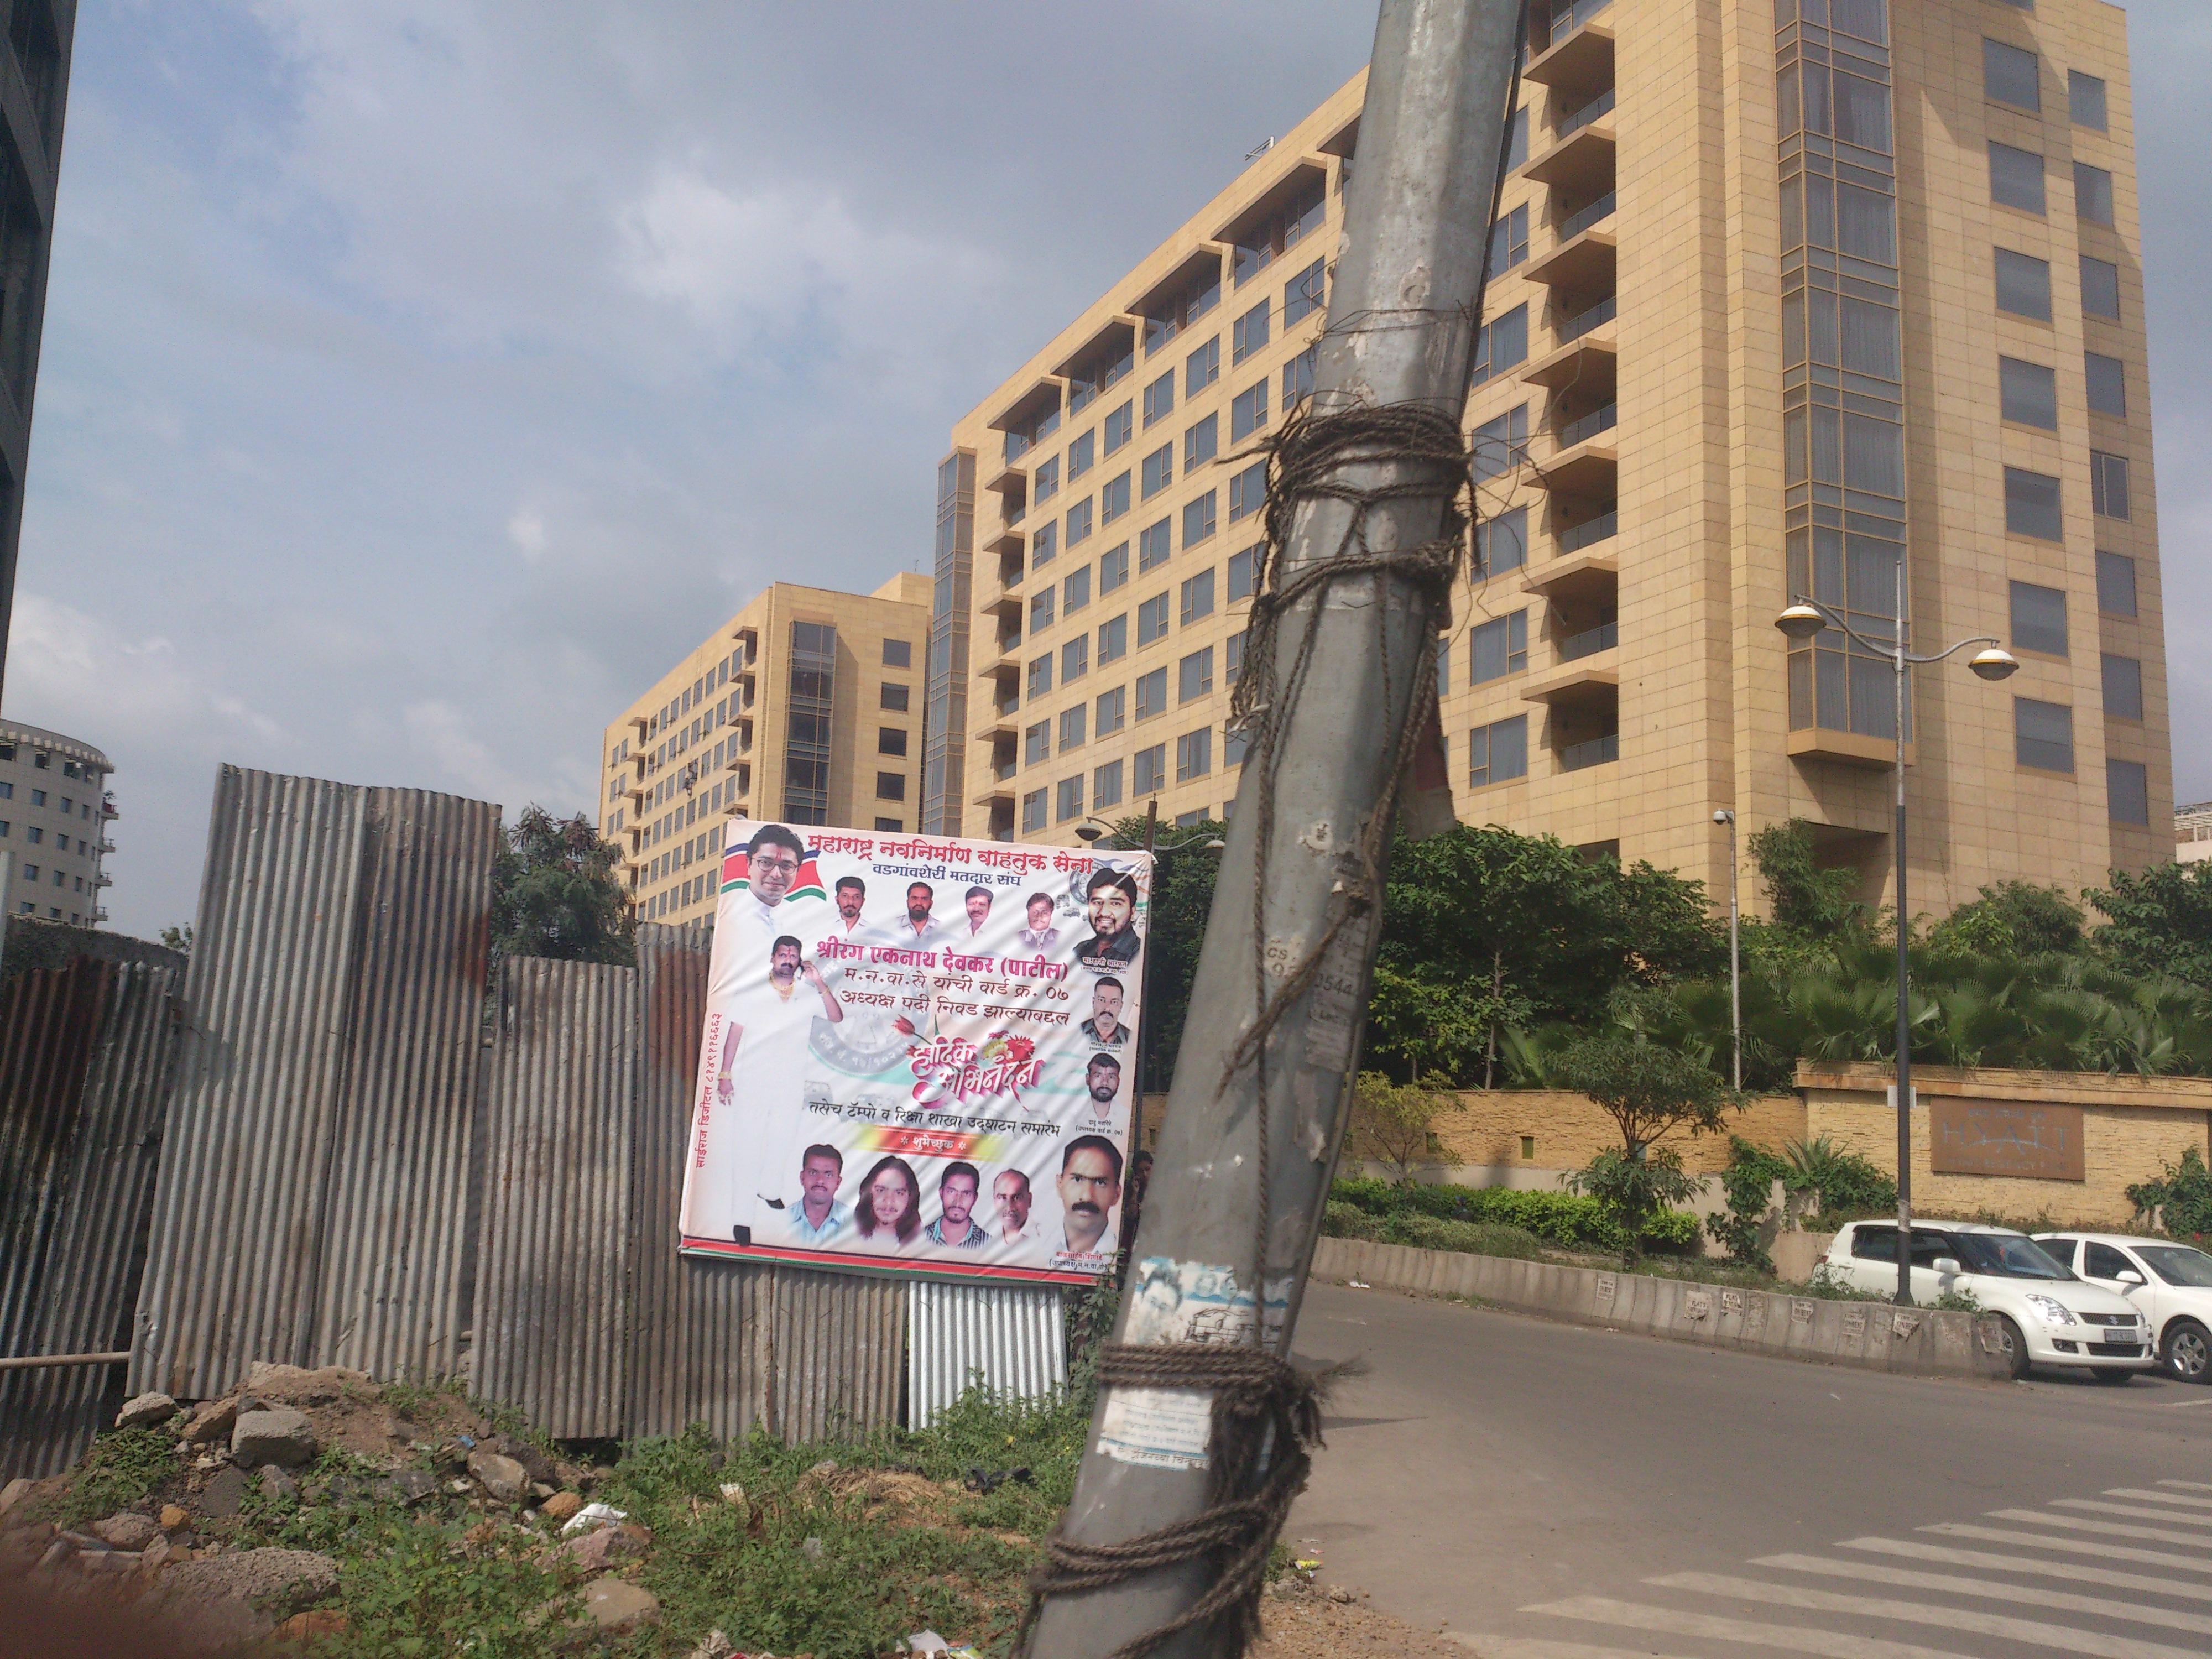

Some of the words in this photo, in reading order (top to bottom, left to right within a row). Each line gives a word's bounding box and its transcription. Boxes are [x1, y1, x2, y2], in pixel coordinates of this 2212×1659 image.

[805, 830, 877, 864] महाराष्ट्र
[868, 862, 950, 885] वडगांवशेरी
[877, 836, 976, 867] नवनिर्माण
[948, 865, 997, 889] मतदार
[995, 870, 1025, 889] संघ
[974, 846, 1050, 878] वाहतुक
[1050, 849, 1097, 878] सेना
[813, 930, 867, 964] श्रीरंग
[838, 985, 899, 1011] अध्यक्ष
[838, 964, 910, 989] म.न.वा.
[867, 941, 939, 972] एकनाथ
[898, 993, 936, 1016] पदी
[909, 969, 930, 992] से
[931, 972, 975, 995] यांची
[934, 991, 981, 1021] निवड
[939, 942, 997, 974] देवकर
[977, 976, 1014, 999] वार्ड
[1011, 979, 1039, 1001] क्र.
[978, 1000, 1073, 1033] झाल्याबद्दल
[997, 952, 1072, 985] (पाटील)
[1039, 984, 1072, 1004] ०७
[702, 1008, 724, 1083] ८१४९११६६६३
[904, 1029, 980, 1079] हार्दिक
[907, 1051, 1047, 1108] अभिनंदन
[690, 1128, 712, 1171] साईराज
[696, 1081, 715, 1129] डिजीटल
[805, 1095, 847, 1120] तसेच
[843, 1097, 880, 1121] टॅम्पो
[878, 1104, 893, 1123] व
[892, 1104, 927, 1126] रिक्षा
[908, 1132, 957, 1154] शुभेच्छुक
[926, 1110, 966, 1131] शाखा
[964, 1113, 1020, 1138] उद्घाटन
[1018, 1116, 1064, 1144] समारंभ